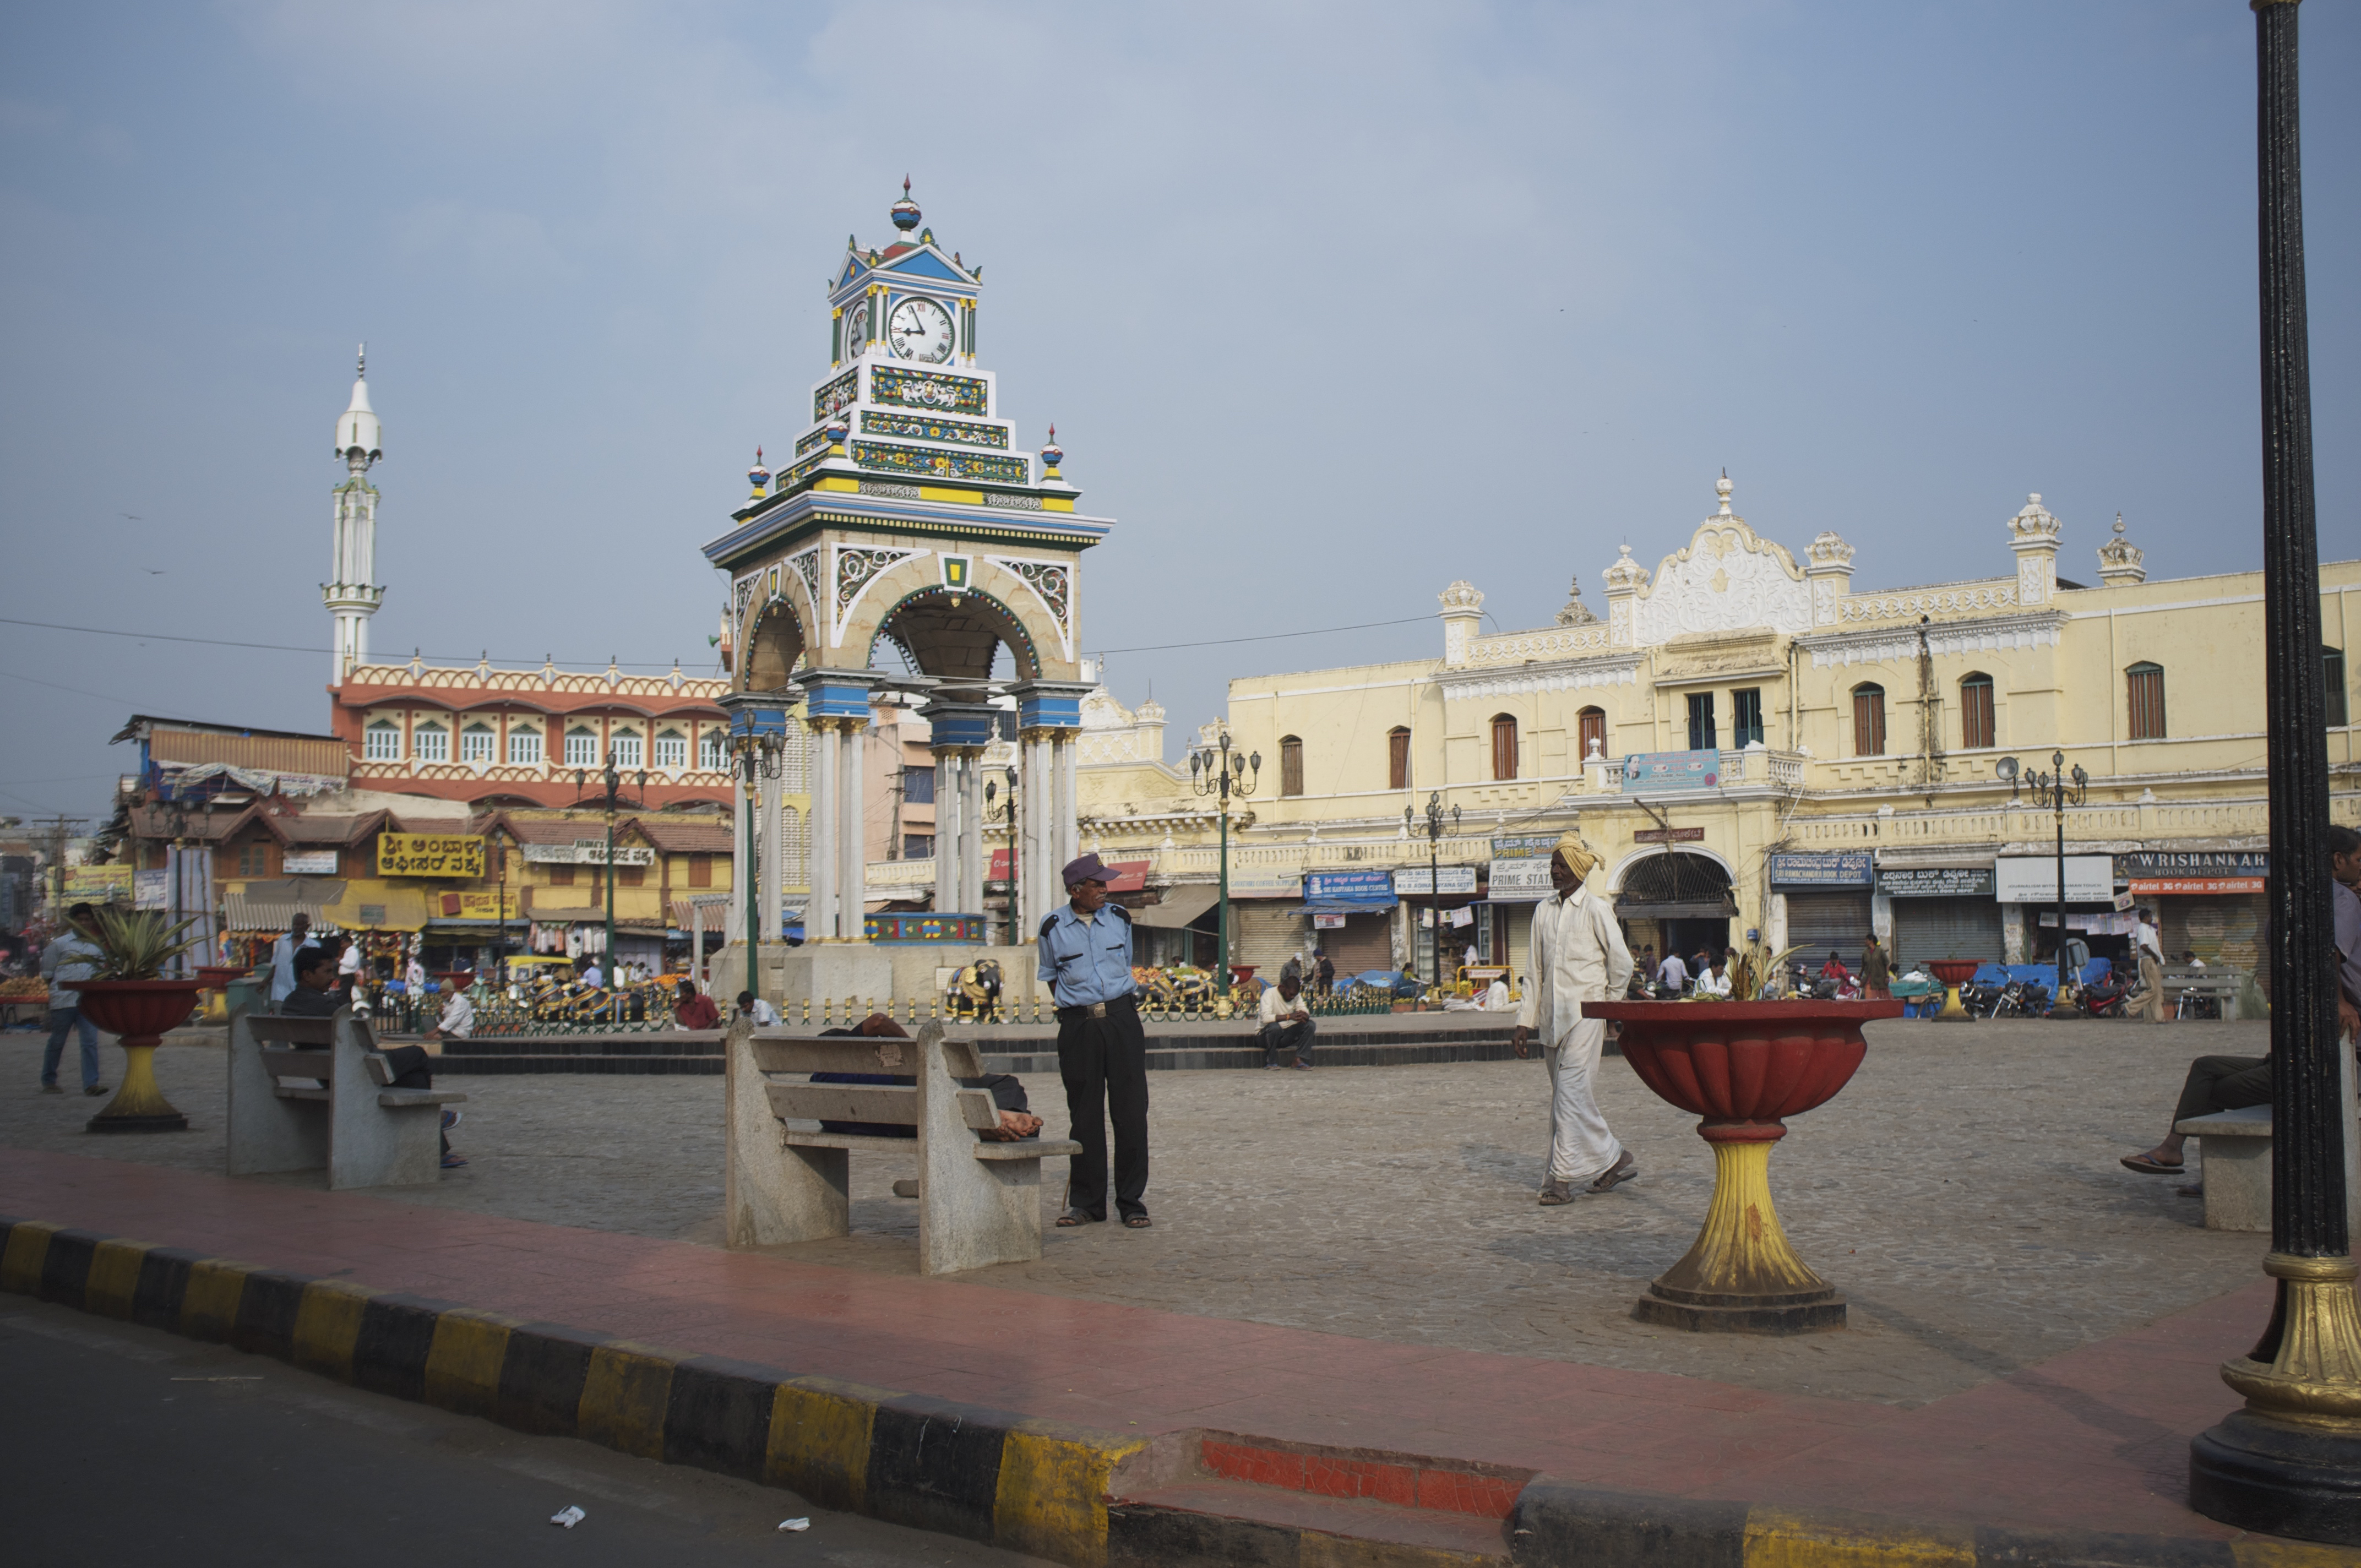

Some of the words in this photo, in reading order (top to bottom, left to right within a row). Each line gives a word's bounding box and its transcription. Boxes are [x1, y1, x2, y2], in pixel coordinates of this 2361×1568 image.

[375, 829, 405, 858] ಶ್ರೀ
[378, 851, 447, 875] ಆಫೀಸರ್
[409, 835, 485, 859] ಅಂಬಾಳ್
[449, 850, 485, 877] ನಶ್ಯ
[630, 845, 652, 867] ವಷ್ಯ
[1321, 885, 1333, 897] SRI
[1321, 872, 1334, 888] ಶ್ರೀ
[1330, 885, 1356, 895] KANTARA
[1352, 884, 1371, 895] BOOK
[1368, 881, 1390, 894] CENTRE
[1393, 879, 1413, 891] MsB
[1453, 879, 1475, 890] SETTY
[1490, 834, 1523, 854] ಪ್ರೈಮ್
[1489, 873, 1524, 888] PRIME
[1493, 858, 1528, 875] ಪ್ರೈಮ್
[1493, 845, 1535, 861] PRIME
[1525, 870, 1555, 887] STAT
[1522, 834, 1561, 851] ಸ್ಟೇಷನ್
[1772, 868, 1788, 879] SRI
[1782, 867, 1823, 879] RAMACHANDRA
[1774, 853, 1842, 871] ಶ್ರೀ ರಾಮಚಂದ್ರ ಬುಕ್
[1820, 868, 1840, 881] BOOK
[1836, 866, 1864, 879] DEPOT
[1839, 853, 1869, 872] ಡಿಪೋ
[1880, 865, 1915, 883] ಎರನಾಥ
[1913, 867, 1940, 880] ಟುಕ್
[1940, 862, 1970, 881] ಡಿಪೋ
[2135, 877, 2161, 892] airtel
[2159, 880, 2174, 892] 3G
[2151, 866, 2188, 879] BOOK
[2117, 848, 2267, 869] GOWRISHANKAR
[2180, 877, 2206, 892] airtel
[2188, 865, 2231, 878] DEPOT
[2205, 880, 2220, 892] 3G
[2224, 878, 2251, 891] airtel
[2249, 879, 2264, 890] 3G